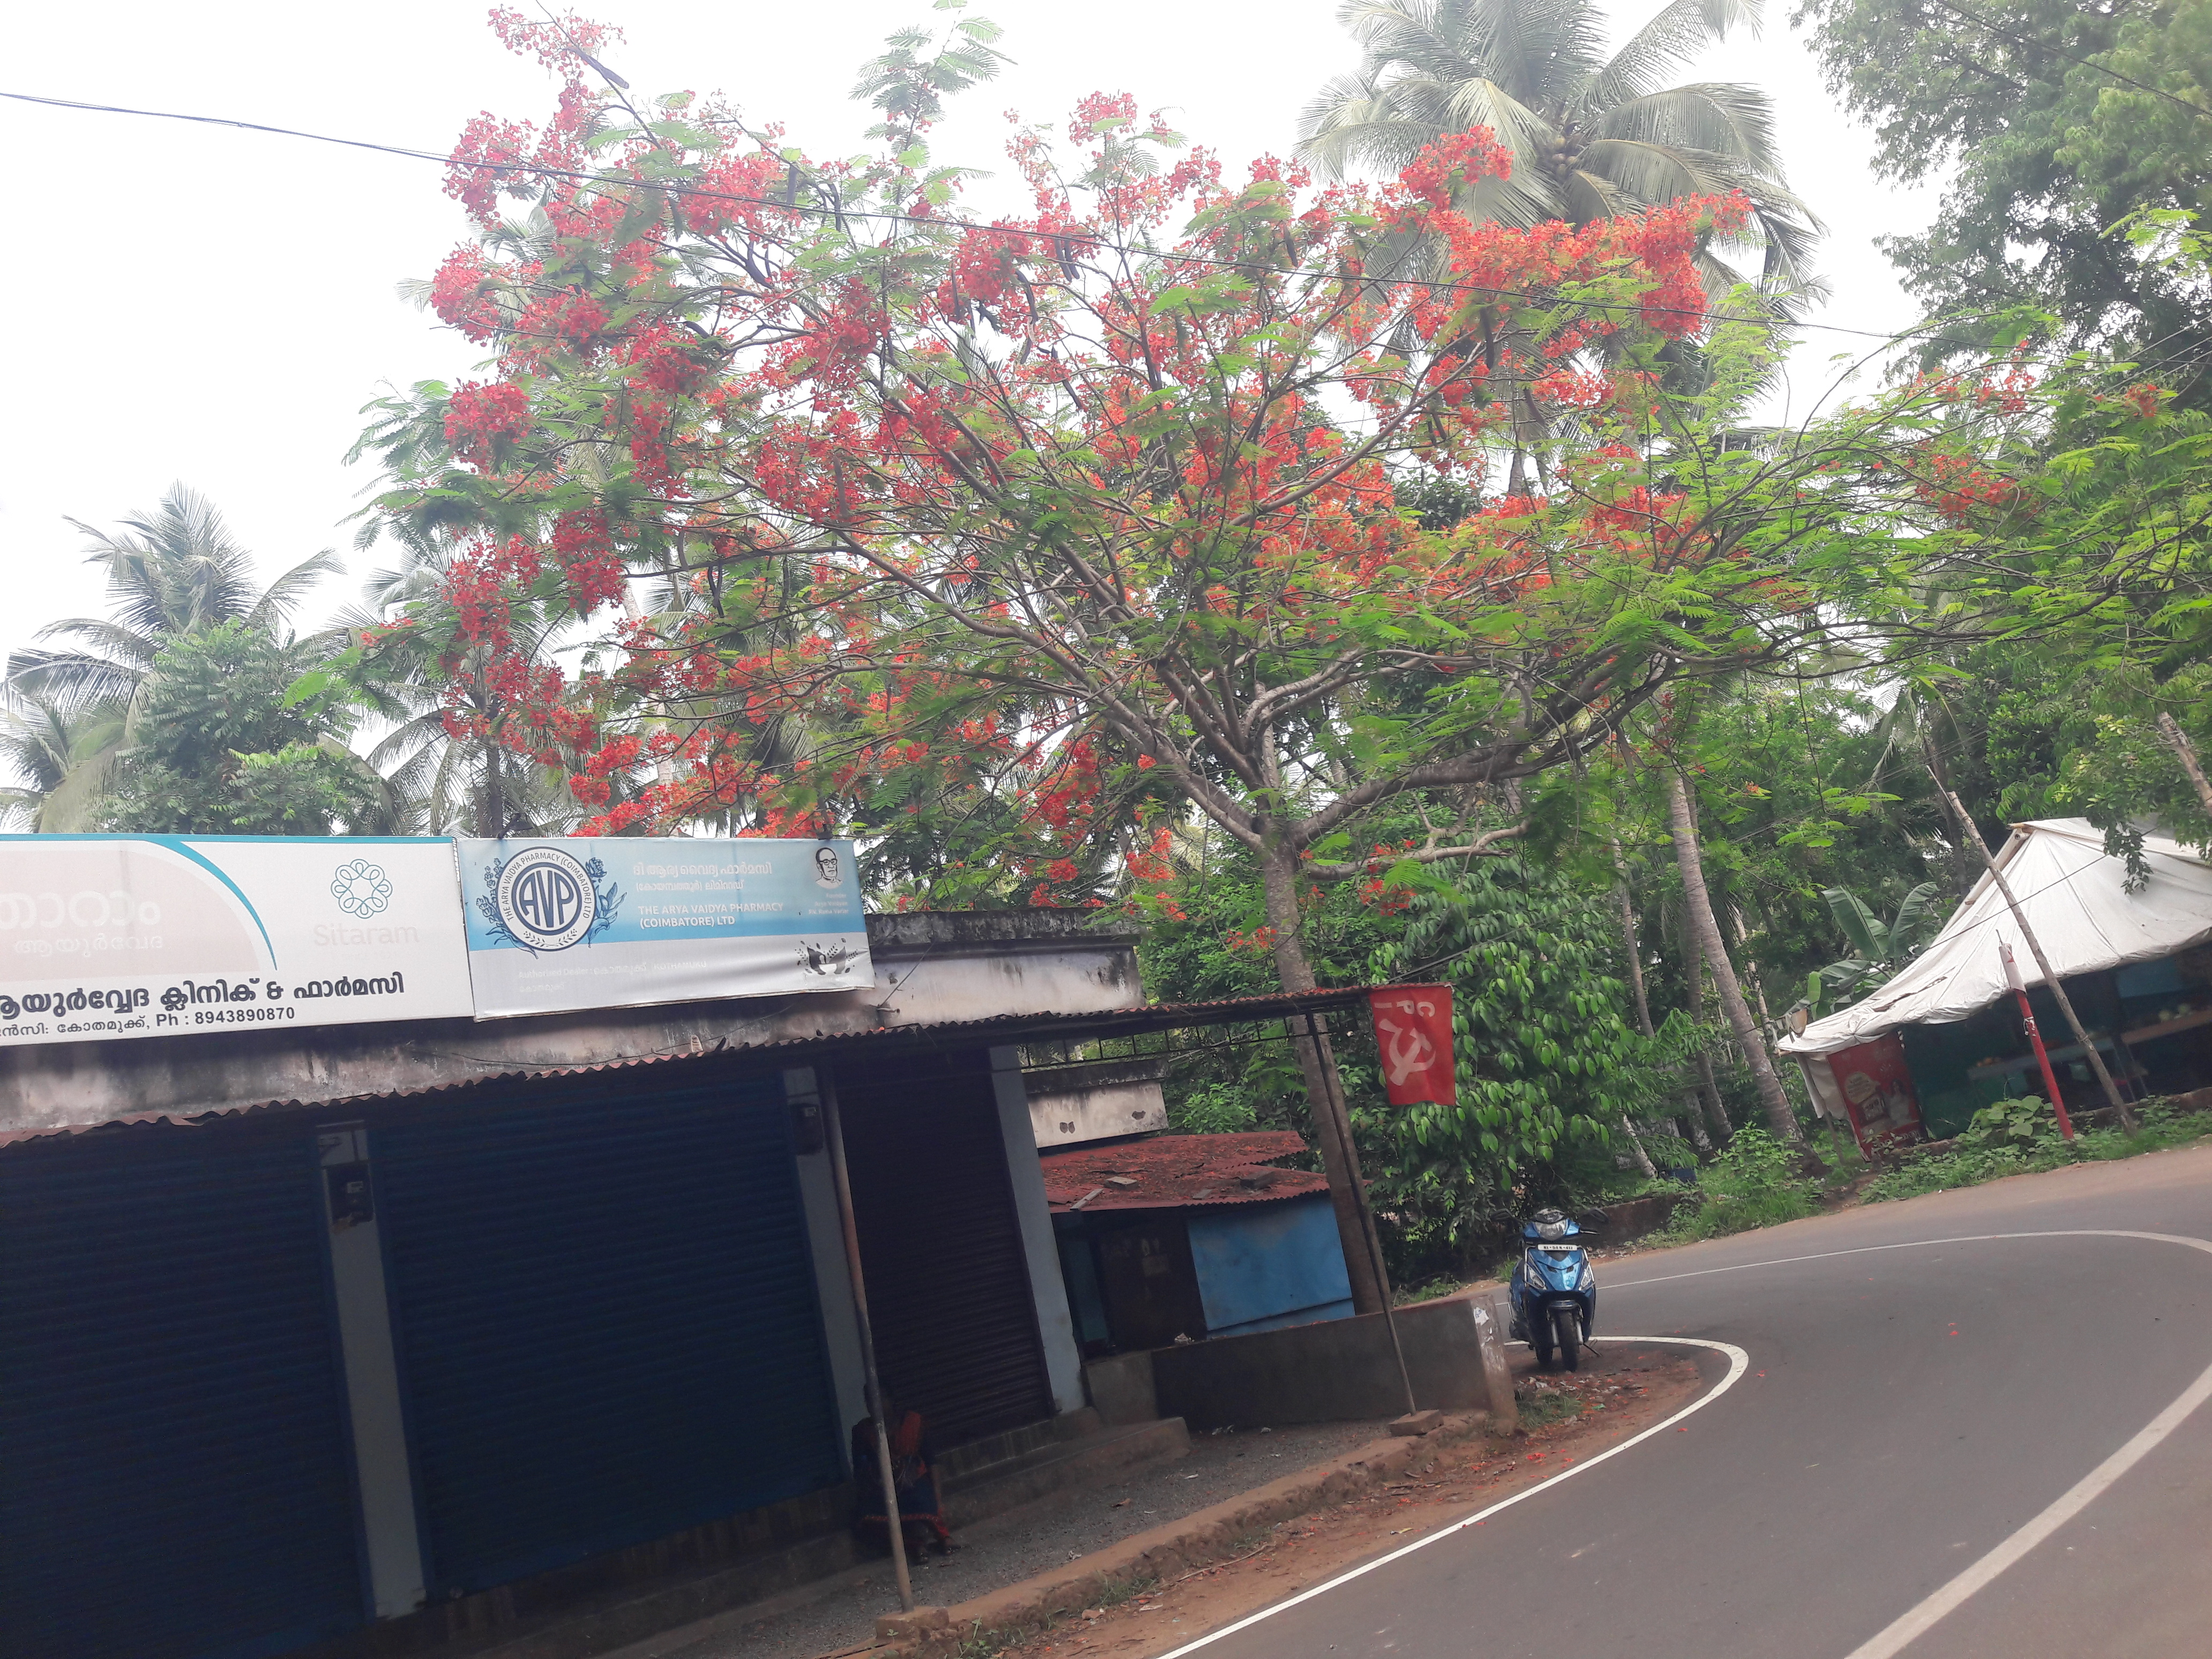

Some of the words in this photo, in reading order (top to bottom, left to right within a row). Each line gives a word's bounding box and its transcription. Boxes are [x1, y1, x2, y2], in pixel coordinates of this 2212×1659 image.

[517, 846, 562, 867] PHARMACY
[499, 858, 525, 887] VAIDYA
[559, 856, 593, 905] (COIMBATORE)
[629, 858, 682, 879] ദിആര്യ
[636, 878, 704, 893] (കോയമ്പത്തൂർ)
[678, 860, 720, 880] വൈദ്യ
[700, 871, 746, 893] ലിമിററഡ്
[716, 861, 774, 877] ഫാർമസി
[499, 883, 512, 909] ARYA
[499, 903, 516, 922] THE
[580, 903, 595, 920] LTD
[637, 904, 662, 916] THE
[655, 903, 692, 917] ARYA
[638, 915, 713, 929] (COIMBATORE)
[690, 901, 731, 915] VAIDYA
[714, 914, 737, 927] LTD
[729, 901, 784, 913] PHARMACY
[311, 918, 421, 948] Sitaram
[12, 929, 167, 962] ആയുർ‌വേദ
[561, 963, 589, 980] Dealer
[653, 958, 710, 973] KOTHAMUKU
[2, 984, 152, 1023] ആയുർവ്വേദ
[157, 973, 288, 1015] ക്ലിനിക്‌&
[293, 969, 407, 1002] ഫാർമസി
[3, 1020, 51, 1039] ൻസി:
[55, 1012, 148, 1035] കോതമുക്ക്
[155, 1004, 297, 1029] Ph:8943890870